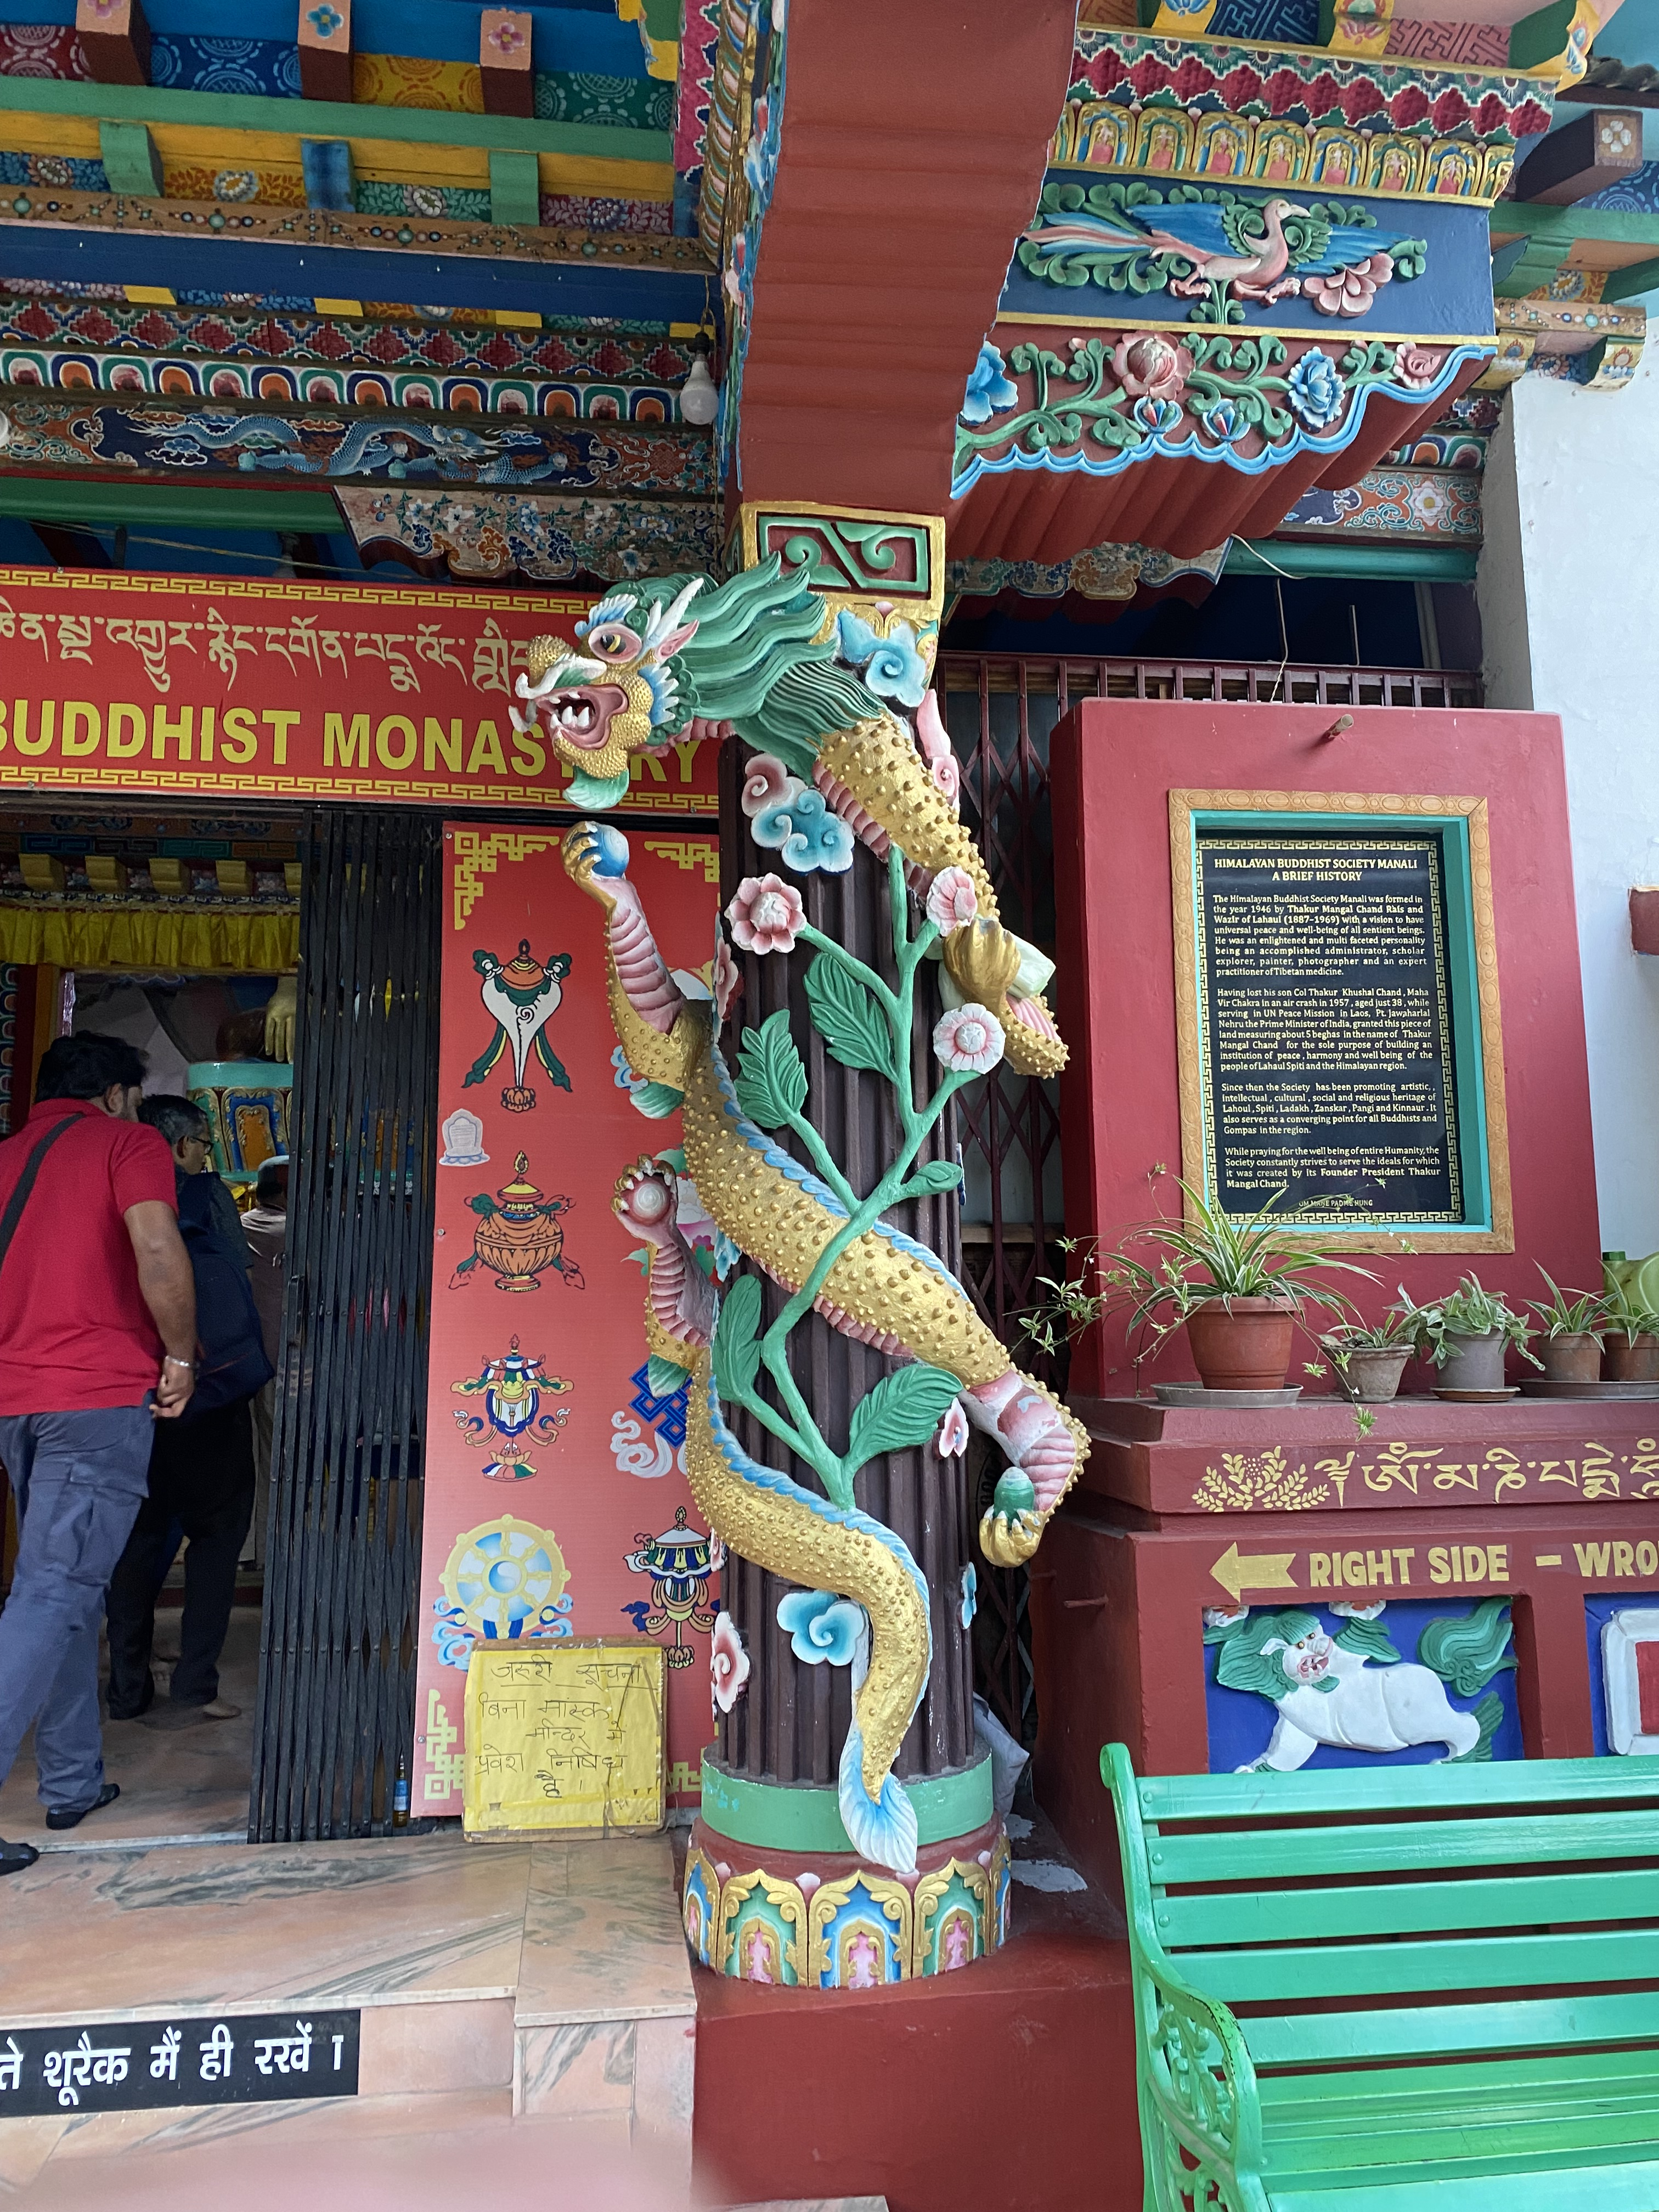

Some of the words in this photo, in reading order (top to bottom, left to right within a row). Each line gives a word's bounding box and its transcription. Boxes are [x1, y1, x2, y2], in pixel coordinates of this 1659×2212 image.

[315, 704, 573, 786] MONAS
[1213, 856, 1278, 872] HIMALAYAN
[1277, 856, 1335, 870] BUDDHIST
[1329, 854, 1377, 870] SOCIETY
[1373, 854, 1420, 871] MANALI
[1270, 868, 1283, 883] A
[1282, 867, 1315, 885] BRIEF
[1315, 868, 1366, 884] HISTORY
[1211, 890, 1231, 906] The
[1227, 891, 1273, 904] Himalayan
[1274, 890, 1312, 905] Buddhist
[1310, 891, 1341, 905] Society
[1339, 890, 1368, 905] Manali
[1367, 893, 1385, 905] was
[1385, 892, 1415, 906] formed
[1413, 893, 1425, 906] in
[1213, 902, 1229, 916] the
[1228, 902, 1249, 916] year
[1248, 904, 1273, 916] 1946
[1273, 903, 1288, 917] by
[1286, 902, 1322, 916] Thakur
[1322, 902, 1355, 917] Mangal
[1356, 902, 1384, 916] Chand
[1385, 902, 1406, 915] Rafs
[1405, 904, 1426, 915] and
[1213, 913, 1240, 924] Wazlr
[1240, 913, 1251, 927] of
[1251, 913, 1284, 927] Lahaul
[1282, 912, 1340, 928] (1887-1969)
[1339, 913, 1362, 924] with
[1360, 914, 1369, 927] a
[1368, 912, 1396, 925] vision
[1393, 912, 1404, 926] to
[1404, 913, 1425, 925] have
[1214, 924, 1251, 935] universal
[1252, 924, 1279, 938] peace
[1278, 924, 1297, 939] and
[1295, 924, 1315, 936] well
[1313, 922, 1340, 939] -being
[1338, 924, 1351, 938] of
[1350, 923, 1362, 936] all
[1360, 925, 1396, 936] sentient
[1396, 923, 1424, 939] beings
[1214, 935, 1228, 947] He
[1229, 936, 1245, 947] was
[1245, 935, 1258, 948] an
[1259, 934, 1308, 949] enlightened
[1308, 935, 1325, 946] and
[1325, 934, 1349, 949] multi
[1349, 934, 1379, 946] faceted
[1380, 934, 1428, 949] personality
[1215, 945, 1240, 959] being
[1243, 945, 1257, 957] an
[1258, 944, 1322, 957] १८८०सास१५५२०
[1323, 944, 1389, 956] administrator,
[1392, 945, 1427, 958] scholar
[1214, 955, 1257, 967] explorer,
[1259, 957, 1294, 969] painter,
[1296, 956, 1361, 969] photographer
[1362, 955, 1381, 967] and
[1384, 955, 1395, 967] an
[1397, 955, 1429, 970] expert
[1215, 967, 1267, 980] practitioner
[1263, 965, 1276, 978] of
[1273, 964, 1305, 979] Tibetan
[1304, 965, 1345, 980] medicine.
[1215, 986, 1246, 1000] Having
[1246, 985, 1265, 1000] lost
[1263, 986, 1278, 999] his
[1276, 987, 1293, 999] son
[1292, 986, 1308, 999] Col
[1306, 986, 1339, 1000] Thakur
[1339, 986, 1374, 1000] Khushal
[1375, 984, 1402, 998] Chand
[1405, 986, 1431, 998] Maha
[1215, 995, 1232, 1009] Vir
[1230, 997, 1261, 1009] Chakra
[1260, 996, 1272, 1009] in
[1270, 996, 1283, 1009] an
[1280, 998, 1294, 1009] air
[1294, 998, 1317, 1008] crash
[1317, 998, 1330, 1010] in
[1330, 996, 1350, 1009] 1957
[1353, 997, 1374, 1011] aged
[1374, 997, 1404, 1010] just38
[1405, 996, 1430, 1008] while
[1217, 1008, 1251, 1021] serving
[1251, 1007, 1263, 1020] in
[1261, 1006, 1277, 1023] UN
[1278, 1006, 1305, 1019] Peace
[1301, 1006, 1336, 1020] Mission
[1338, 1007, 1349, 1020] in
[1348, 1007, 1370, 1021] Laos,
[1374, 1006, 1386, 1020] रिड
[1386, 1006, 1432, 1022] Jawaharlal
[1216, 1018, 1246, 1031] Nehru
[1244, 1018, 1260, 1029] the
[1258, 1017, 1285, 1030] Prime
[1284, 1017, 1322, 1030] Minister
[1319, 1017, 1328, 1029] of
[1327, 1017, 1350, 1032] India
[1351, 1018, 1385, 1032] granted
[1382, 1018, 1403, 1030] this
[1399, 1018, 1424, 1031] piece
[1421, 1018, 1434, 1029] of
[1217, 1028, 1238, 1040] land
[1237, 1030, 1283, 1042] measuring
[1279, 1029, 1306, 1042] about
[1310, 1028, 1342, 1043] beghas
[1340, 1027, 1352, 1040] in
[1352, 1028, 1365, 1040] the
[1365, 1028, 1389, 1041] name
[1386, 1026, 1401, 1043] of
[1402, 1026, 1433, 1041] Thakur
[1217, 1039, 1250, 1053] Mangal
[1252, 1039, 1280, 1052] Chand
[1285, 1038, 1301, 1051] for
[1300, 1037, 1316, 1052] the
[1317, 1038, 1336, 1051] sole
[1337, 1040, 1374, 1052] purpose
[1373, 1038, 1385, 1051] of
[1385, 1037, 1420, 1052] building
[1421, 1040, 1434, 1051] an
[1218, 1049, 1264, 1061] institution
[1263, 1051, 1274, 1062] of
[1276, 1051, 1304, 1062] peace
[1306, 1048, 1344, 1064] harmony
[1342, 1049, 1361, 1061] and
[1360, 1049, 1380, 1060] well
[1379, 1049, 1404, 1064] being
[1404, 1048, 1417, 1062] of
[1418, 1047, 1435, 1060] the
[1220, 1058, 1249, 1076] people
[1248, 1060, 1261, 1073] ofl
[1258, 1059, 1286, 1073] Lahaul
[1285, 1059, 1305, 1075] Spiti
[1305, 1061, 1322, 1073] and
[1320, 1060, 1335, 1073] the
[1334, 1058, 1380, 1074] Himalayan
[1375, 1059, 1406, 1074] nregion.
[1308, 1545, 1420, 1589] RIGHT
[1427, 1543, 1510, 1587] SIDE
[1570, 1538, 1658, 1581] WRO
[488, 1651, 557, 1689] जरूरी
[574, 1658, 644, 1695] सूचना
[474, 1687, 529, 1725] बिना
[535, 1695, 614, 1723] मांस्क
[523, 1712, 592, 1751] मन्दिर
[604, 1718, 627, 1744] मे
[472, 1740, 527, 1776] प्रवेश
[543, 1744, 628, 1774] निषिध
[529, 1768, 566, 1803] है
[144, 2022, 185, 2083] मैं
[195, 2018, 236, 2084] ही
[249, 2017, 317, 2078] रखें
[38, 2030, 136, 2109] शूरैक